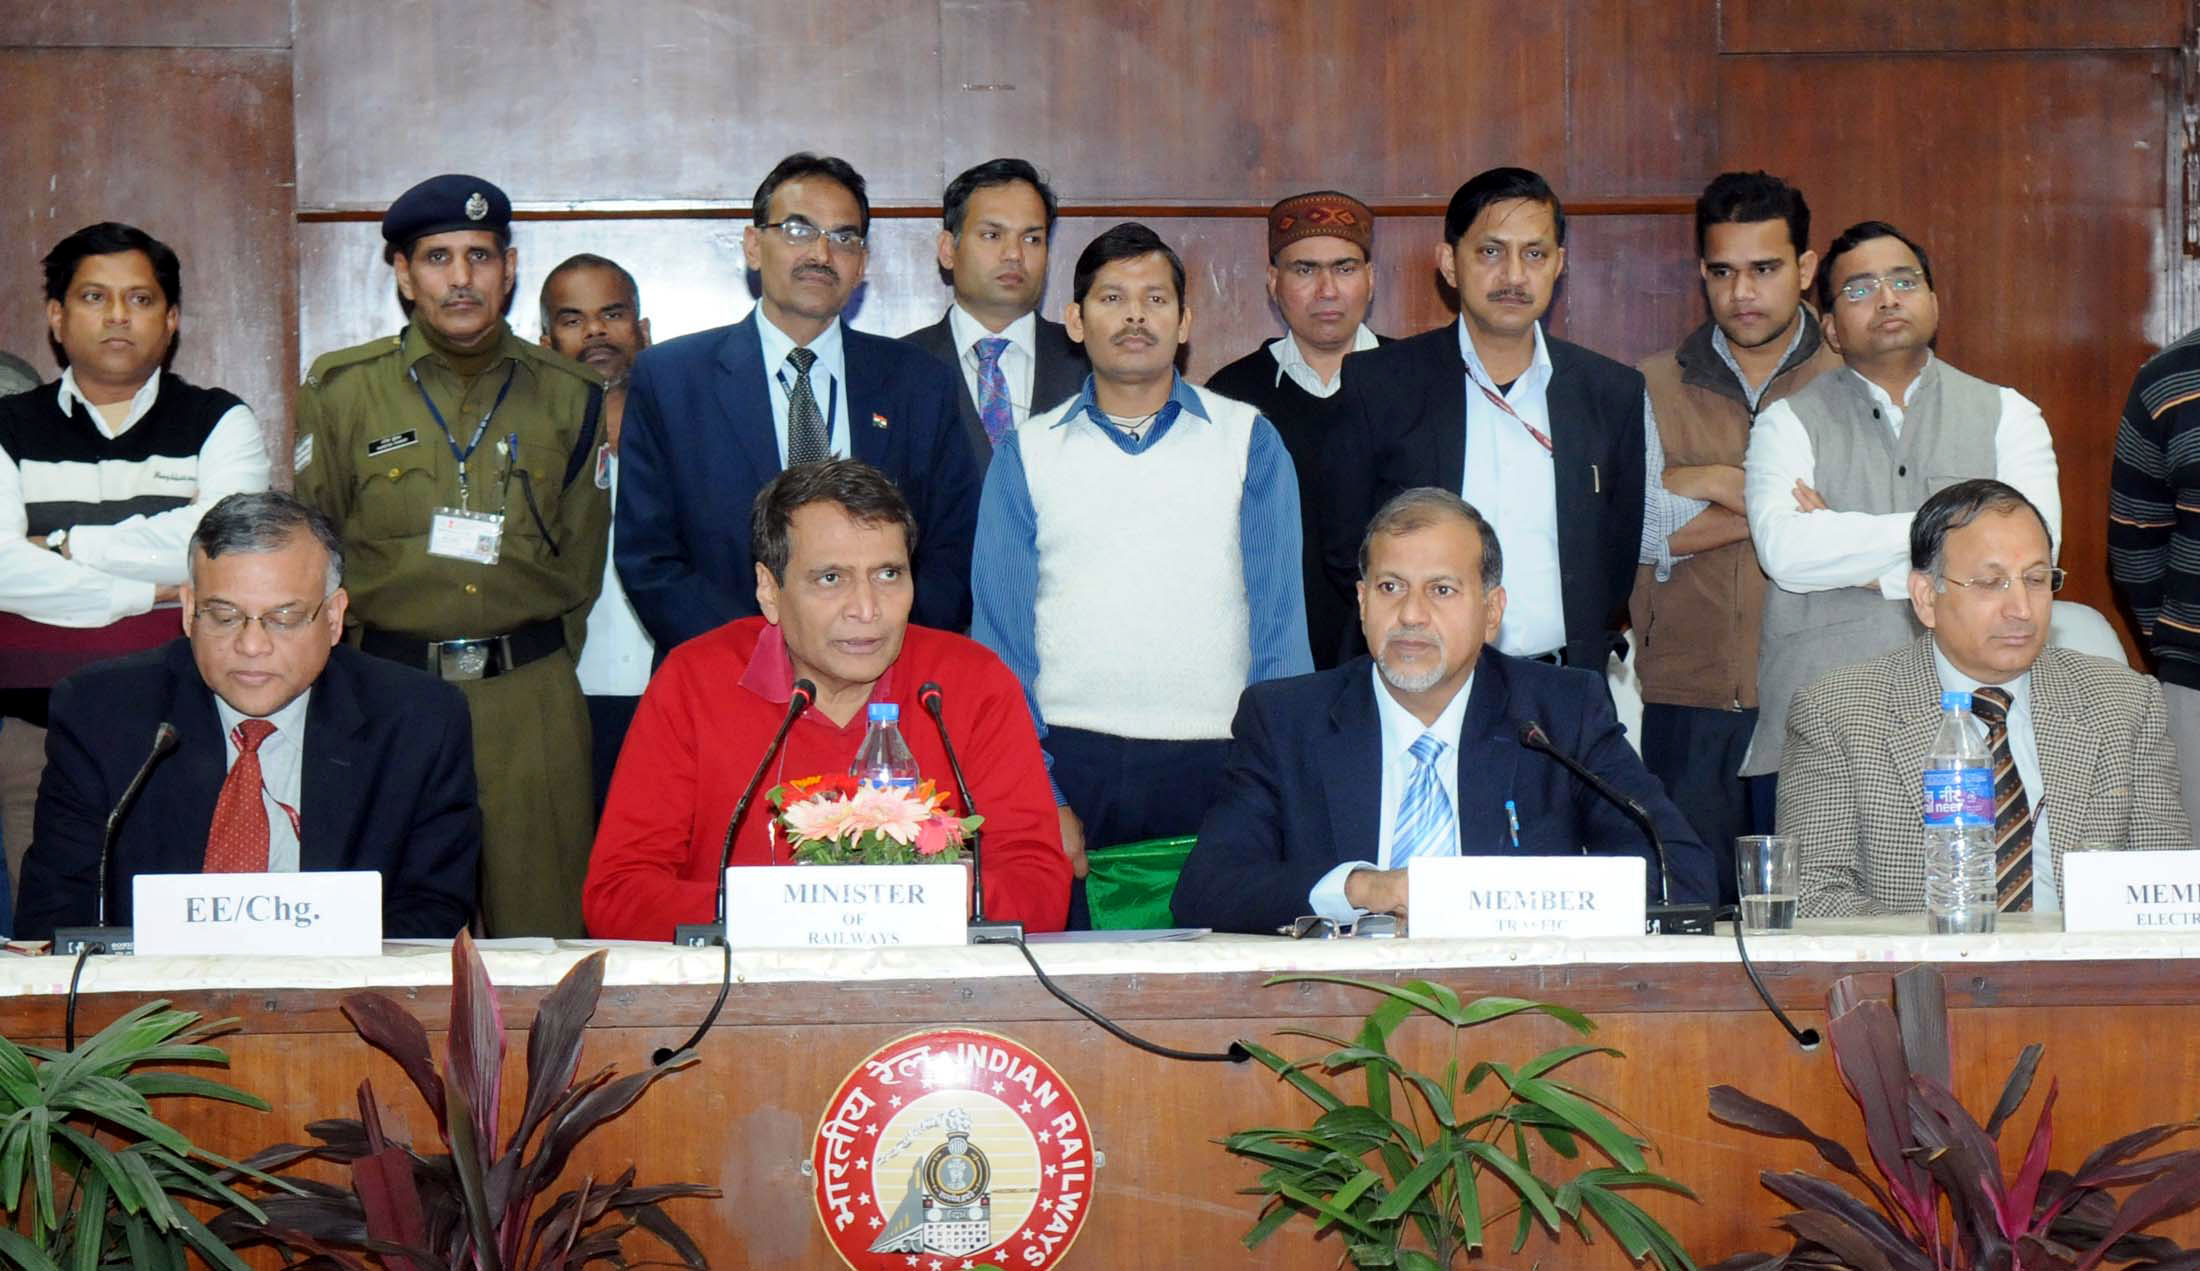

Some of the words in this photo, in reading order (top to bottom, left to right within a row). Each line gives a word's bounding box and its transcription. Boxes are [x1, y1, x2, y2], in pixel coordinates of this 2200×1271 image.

[174, 889, 331, 934] EE/Chg.
[837, 906, 867, 928] OF
[779, 881, 930, 908] MINISTER
[802, 927, 910, 949] RAILWAYS
[1466, 884, 1603, 918] MEMBER
[862, 1038, 939, 1095] रेल
[949, 1035, 1065, 1115] INDIAN
[816, 1078, 880, 1240] भारतीय
[1016, 1105, 1089, 1270] RAILWAYS